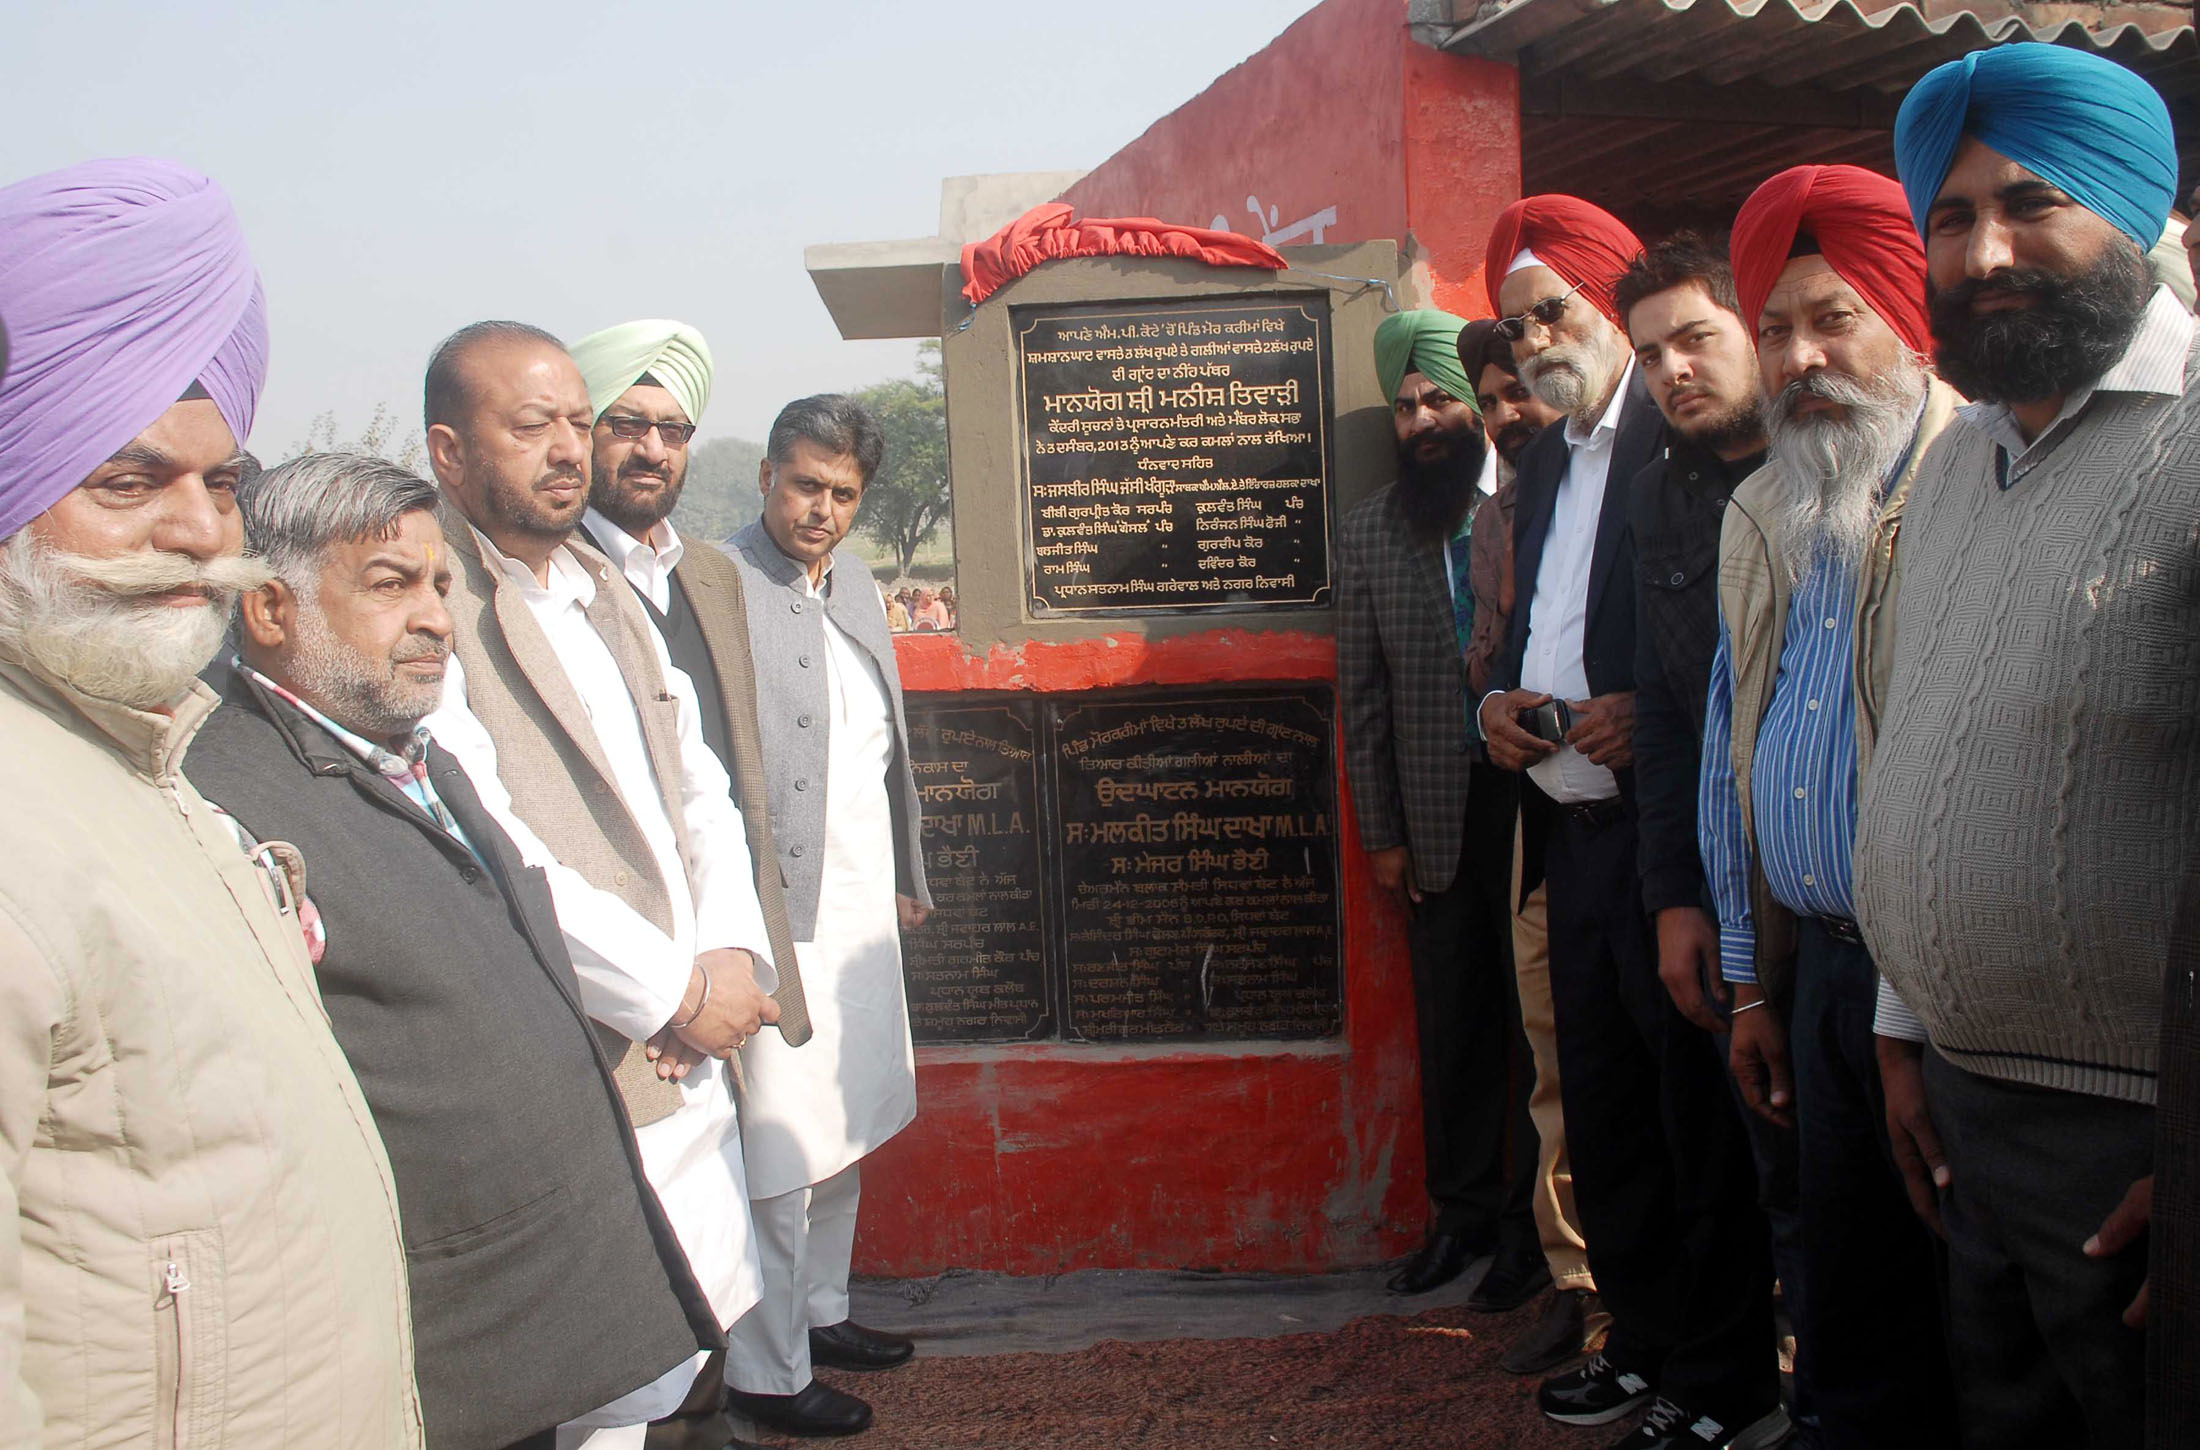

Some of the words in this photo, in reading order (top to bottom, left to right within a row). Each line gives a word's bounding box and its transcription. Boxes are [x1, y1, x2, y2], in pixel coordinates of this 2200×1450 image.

[1052, 324, 1093, 346] ਆਪਣੇ
[1092, 321, 1140, 346] ਐਸ.ਪੀ.
[1137, 321, 1161, 343] ਕੋਟੇ
[1161, 317, 1176, 341] ਚੋ
[1175, 317, 1201, 338] ਪਿੰਡ
[1199, 316, 1225, 338] ਮੋਰ
[1221, 314, 1260, 339] ਕਰੀਮਾਂ
[1259, 311, 1289, 336] ਵਿਖੇ
[1023, 345, 1071, 365] ਸ਼ਮਸ਼ਾਨ
[1071, 347, 1095, 365] ਘਾਟ
[1092, 344, 1124, 363] ਵਾਸਤੇ
[1123, 343, 1135, 363] ਠ
[1133, 342, 1155, 362] ਲੱਖ
[1152, 338, 1179, 361] ਰੁਪਏ
[1177, 339, 1190, 359] ਤੇ
[1188, 337, 1232, 360] ਗਲੀਆਂ
[1231, 337, 1263, 358] ਵਾਸਤੇ
[1261, 337, 1271, 359] 2
[1269, 337, 1292, 359] ਲੱਖ
[1287, 335, 1317, 358] ਰੁਪਏ
[1107, 363, 1126, 385] ਦੀ
[1126, 363, 1155, 385] ਗ੍ਰਾਂਟ
[1156, 362, 1171, 384] ਦਾ
[1170, 359, 1199, 380] ਨੀਂਹ
[1199, 359, 1232, 379] ਪੱਥਰ
[1037, 383, 1124, 413] ਮਾਨਯੋਗ
[1123, 384, 1159, 416] ਸ਼੍ਰੀ
[1156, 379, 1227, 410] ਮਨੀਸ਼
[1227, 375, 1302, 408] ਤਿਵਾੜੀ
[1031, 435, 1047, 458] ਨੇ
[1045, 439, 1057, 457] ठ
[1042, 415, 1081, 436] ਕੇਂਦਰੀ
[1055, 437, 1095, 454] ਦਸੰਬਰ
[1079, 414, 1115, 439] ਸੂਰਨਾਂ
[1094, 436, 1129, 453] 2013
[1115, 413, 1126, 433] ਤੇ
[1129, 434, 1139, 457] ਨੂੰ
[1125, 413, 1171, 434] ਪ੍ਰਸਾਰਨ
[1139, 429, 1179, 452] ਆਪਣੇ
[1169, 410, 1205, 429] ਮੰਤਰੀ
[1178, 431, 1200, 451] ਕਰ
[1203, 410, 1227, 429] ਅਤੇ
[1199, 429, 1235, 448] ਕਮਲਾਂ
[1226, 407, 1257, 428] ਮੈਂਬਰ
[1235, 430, 1263, 449] ਨਾਲ
[1257, 408, 1281, 428] ਲੋਕ
[1263, 427, 1307, 448] ਰੱਖਿਆ
[1279, 408, 1305, 427] ਸਭਾ
[1133, 454, 1181, 473] ਧੰਨਵਾਦ
[1180, 453, 1217, 470] ਸਹਿਤ
[1027, 481, 1047, 500] ਸ:
[1046, 476, 1090, 499] ਜਸਬੀਰ
[1091, 475, 1119, 497] ਸਿੰਘ
[1118, 472, 1145, 497] ਜੱਸੀ
[1142, 473, 1175, 499] ਖੰਗੂੜ
[1037, 521, 1057, 539] ਡਾ.
[1034, 500, 1067, 522] ਬੀਬੀ
[1054, 521, 1095, 539] ਕੁਲਵੰਤ
[1067, 500, 1113, 522] ਗੁਰਪ੍ਰੀਤ
[1092, 517, 1117, 538] ਸਿੰਘ
[1109, 499, 1133, 516] ਕੌਰ
[1117, 517, 1155, 537] ਗੋਸਲ
[1132, 498, 1177, 517] ਸਰਪੰਰ
[1151, 514, 1176, 538] ਪੰਚ
[1192, 497, 1234, 515] ਕੁਲਵੰਤ
[1191, 515, 1240, 535] ਨਿਰੰਜਨ
[1234, 494, 1267, 515] ਸਿੰਘ
[1237, 511, 1267, 533] ਸਿੰਘ
[1265, 512, 1293, 531] ਫੋਜੀ
[1280, 492, 1308, 513] ਪੰਚ
[1031, 539, 1073, 558] ਬਲਜੀਤ
[1072, 537, 1101, 556] ਸਿੰਘ
[1195, 535, 1243, 555] ਗੁਰਦੀਪ
[1241, 532, 1266, 553] ਕੋਰ
[1036, 559, 1065, 579] ਰਾਮ
[1065, 557, 1094, 577] ਸੰਘ
[1193, 553, 1238, 571] ਦਵਿੰਦਰ
[1234, 553, 1260, 571] ਕੋਰ
[1049, 581, 1088, 603] ਪ੍ਰਧਾਨ
[1087, 575, 1130, 601] ਸਤਨਾਮ
[1130, 575, 1156, 595] ਸਿੰਘ
[1155, 575, 1200, 594] ਗਰੇਵਾਲ
[1199, 573, 1222, 595] ਅਤੇ
[1221, 573, 1255, 595] ਨਗਰ
[1253, 569, 1299, 592] ਨਿਵਾਸੀ
[1085, 713, 1152, 750] ਮੋਰਕਰੀਮਾਂ
[1145, 711, 1177, 737] ਵਿਖे
[1177, 712, 1189, 734] 3
[1186, 711, 1214, 732] ਲ਼ੱਖ
[1213, 709, 1252, 738] ਰੁਪਏ
[1245, 715, 1268, 739] ਦੀ
[1264, 715, 1295, 745] ਗ੍ਈ
[1059, 734, 1091, 765] ਪਿੰਡ
[1072, 753, 1125, 777] ਤਿਆਰ
[1124, 751, 1173, 773] ਕੀਤੀਆ
[1171, 749, 1221, 772] ਗਲੀਆਂ
[1217, 746, 1274, 770] ਨਾਲੀਆਂ
[1273, 747, 1296, 767] ਦਾ
[916, 772, 1005, 804] ਮਾਨਯੋਗ
[1087, 773, 1202, 811] ਉਦਘਾਟਨ
[1200, 769, 1300, 804] ਮਾਨਯੋਗ
[965, 807, 1033, 844] M.L.A.
[1061, 811, 1091, 848] ਸ:
[1086, 809, 1171, 847] ਮਲਕੀਤ
[1170, 807, 1225, 847] ਸਿੰਘ
[1223, 810, 1275, 842] ਦਾਖਾ
[1271, 809, 1329, 839] M.L.A.
[935, 841, 984, 871] ਭੈਣੀ
[1103, 847, 1135, 877] ਸ:
[1130, 849, 1187, 875] ਮੇਜਰ
[1185, 846, 1231, 875] ਸਿੰਘ
[1231, 843, 1277, 873] ਭੈਣੀ